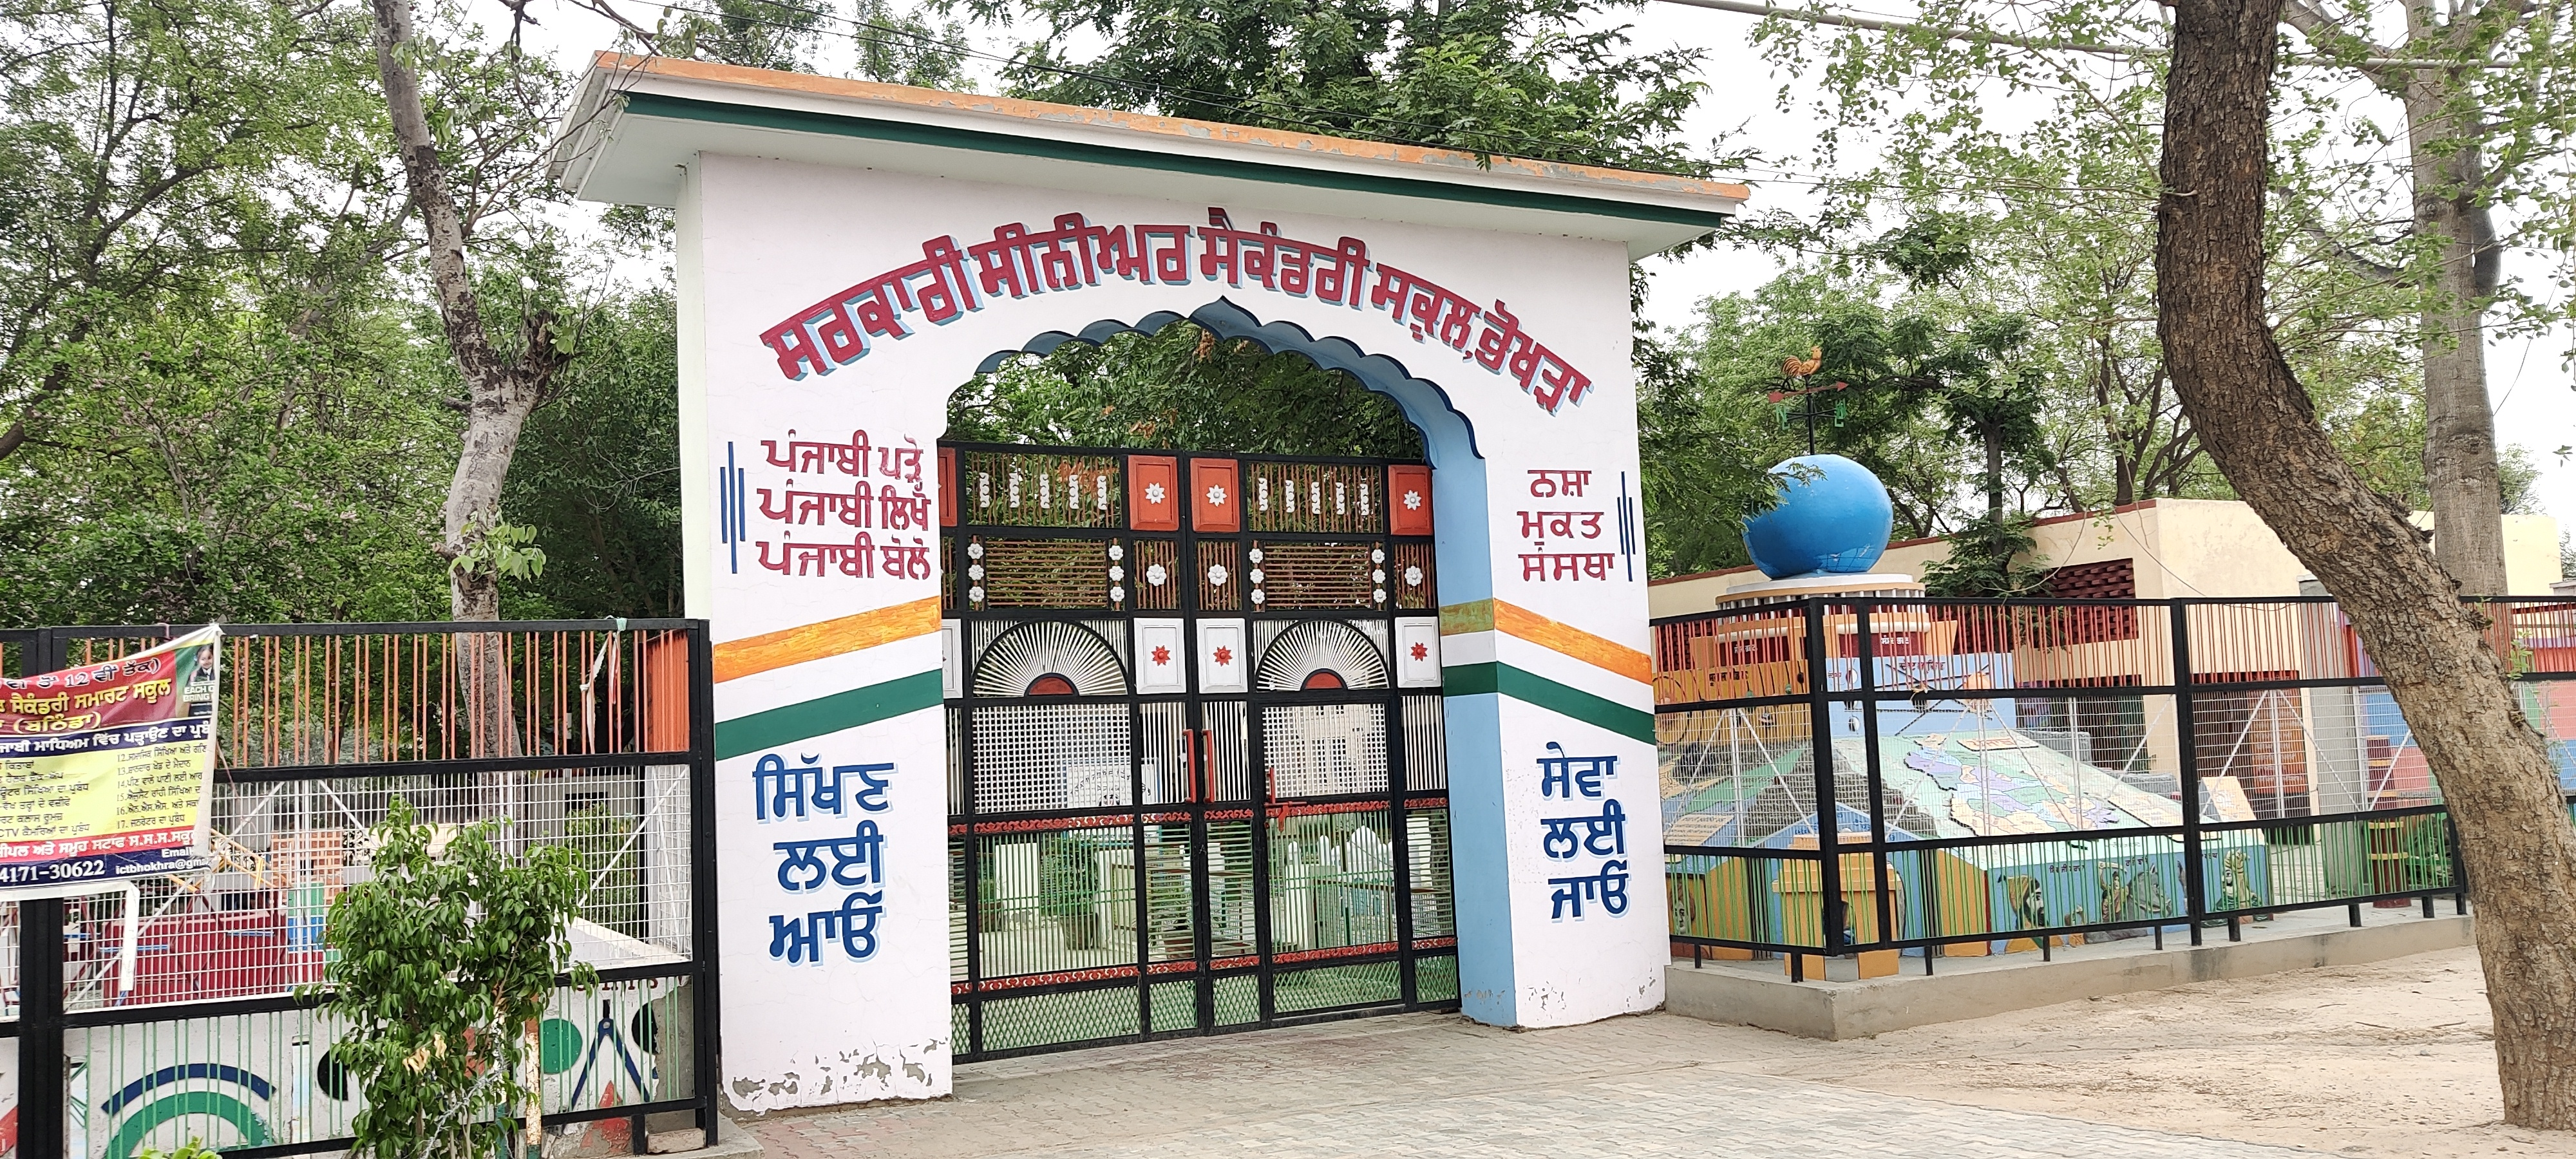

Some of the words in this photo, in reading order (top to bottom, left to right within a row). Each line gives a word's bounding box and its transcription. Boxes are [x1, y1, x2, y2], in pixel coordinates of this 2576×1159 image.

[961, 207, 1197, 307] ਸੀਨੀਅਰ
[1193, 203, 1377, 315] ਸੈਕੰਡਰੀ
[752, 229, 990, 395] ਸਰਕਾਰੀ
[1364, 248, 1486, 360] ਸਕੂਲ
[1465, 290, 1601, 426] ਭੋਖੜਾ
[755, 420, 875, 480] ਪੰਜਾਬੀ
[872, 429, 931, 492] ਪੜ੍ਹੇ
[1522, 462, 1596, 504] ਨਸ਼ਾ
[747, 477, 878, 532] ਪੰਜਾਬੀ
[875, 482, 937, 534] ਲਿਖੇ
[1512, 507, 1613, 548] ਮੁਕਤ
[749, 527, 879, 585] ਪੰਜਬੀ
[877, 533, 936, 586] ਬੇਲੋ
[1514, 545, 1624, 586] ਸਸਥਾ
[7, 690, 73, 717] ਸੈਕੰਡਰੀ
[21, 710, 97, 735] ਬਠਿੰਡਾ
[32, 733, 91, 754] ਮਾਧਿਅਮ
[61, 667, 94, 688] 12
[72, 682, 131, 712] ਸਮਾਰਟ
[91, 661, 122, 686] ਵੀਂ
[90, 728, 123, 750] ਵਿੱਚ
[120, 656, 156, 679] ਤੱਕ
[122, 724, 169, 746] ਪੜ੍ਹਾਉਣ
[129, 675, 180, 706] ਸਕੂਲ
[169, 724, 187, 740] ਦਾ
[748, 742, 908, 830] ਸਿੱਖਣ
[1529, 735, 1621, 807] ਸੇਵਾ
[0, 864, 41, 885] 4171
[30, 840, 57, 858] ਅਤੇ
[56, 838, 90, 857] ਸਮੂਹ
[46, 855, 106, 881] 30622
[89, 836, 128, 853] ਸਟਾਫ
[127, 831, 171, 848] ਸ.ਸ.ਸ
[111, 856, 209, 878] Ictbhokhra@gma
[156, 845, 196, 858] Email
[766, 818, 902, 899] ਲਈ
[1533, 796, 1636, 872] ਲਈ
[1539, 854, 1645, 932] ਜਾਓ
[761, 887, 896, 974] ਆਓ